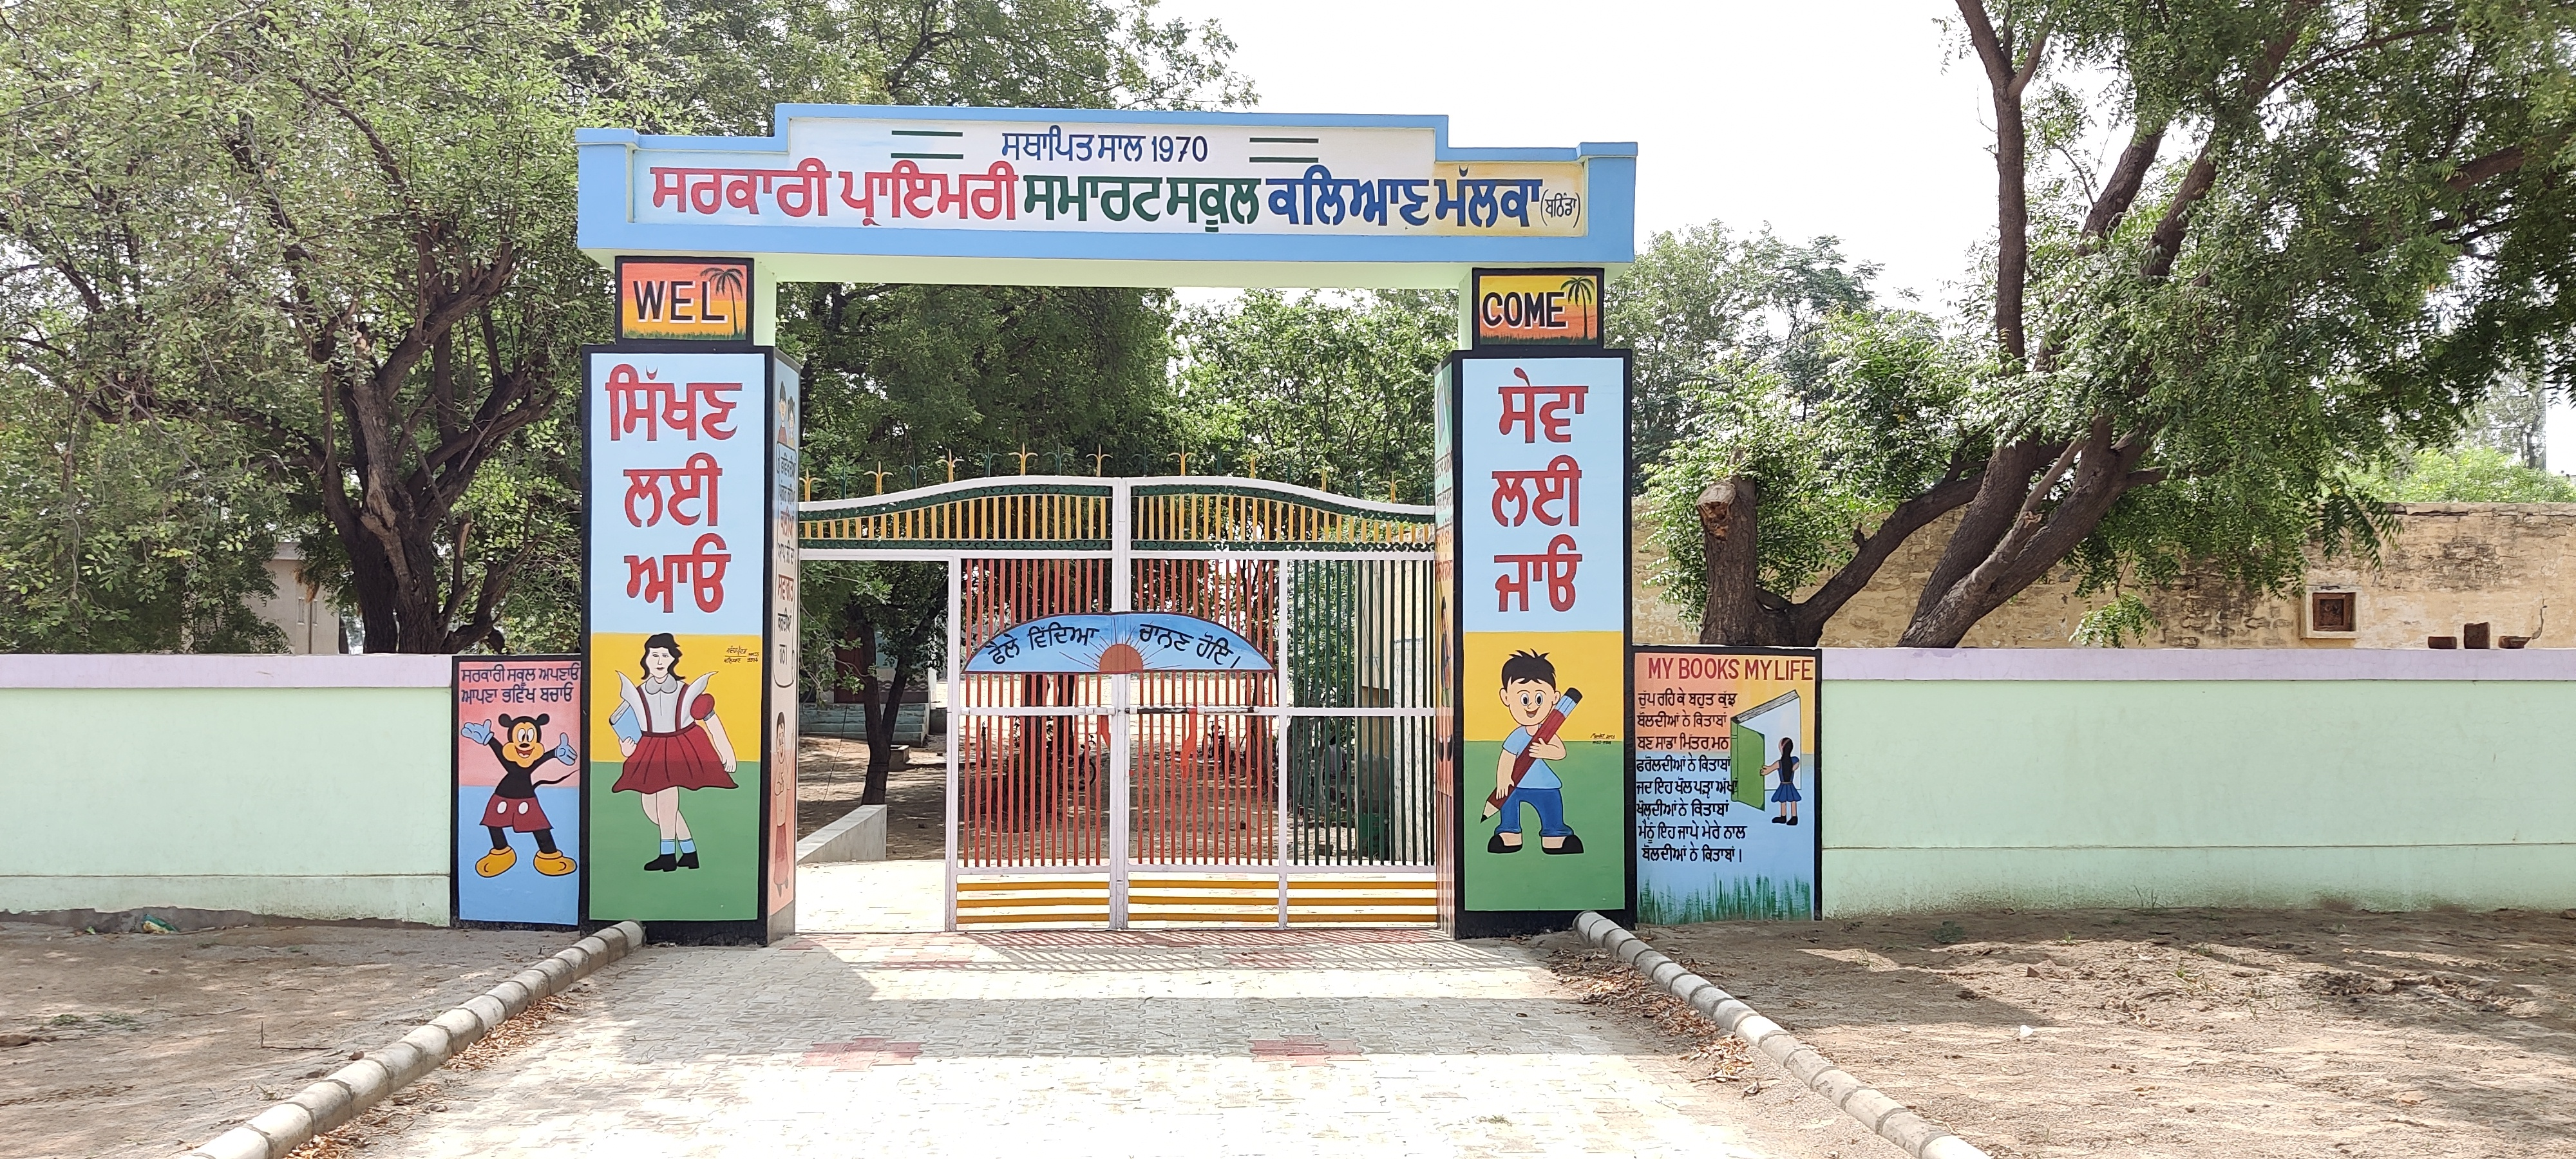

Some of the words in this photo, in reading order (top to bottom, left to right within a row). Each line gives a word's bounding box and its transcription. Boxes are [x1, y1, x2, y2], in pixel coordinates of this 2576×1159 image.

[991, 122, 1097, 168] ਸਥਾਪਿਤ
[1095, 130, 1148, 168] ਸਾਲ
[1149, 129, 1211, 169] 1970
[642, 149, 834, 221] ਸਰਕਾਰੀ
[831, 158, 1021, 232] ਪ੍ਰਾਇਮਰੀ
[1019, 171, 1165, 227] ਸਮਾਰਟ
[1164, 172, 1264, 234] ਸਕੂਲ
[1262, 161, 1437, 236] ਕਲਿਆਣ
[1432, 163, 1548, 231] ਮੱਲਕਾ
[1543, 189, 1580, 222] ਬਠਿੰਡਾ
[627, 274, 730, 329] WEL
[1477, 288, 1571, 333] COME
[598, 359, 753, 453] ਸਿੱਖਣ
[1484, 360, 1607, 448] ਸੇਵਾ
[607, 445, 732, 541] ਲਈ
[1475, 450, 1595, 533] ਲਈ
[617, 529, 741, 628] ਆੳੇ
[1480, 529, 1593, 623] ਜਾੳ
[980, 628, 1025, 668] ਫੈਲੇ
[1023, 616, 1103, 652] ਵਿੱਦਿਆ
[1133, 619, 1198, 659] ਚਾਨਣ
[1190, 627, 1238, 670] ਹੋਇ
[459, 661, 507, 686] ਸਰਕਾਰੀ
[504, 664, 538, 687] ਸਕੂਲ
[536, 659, 580, 685] ਅਪਣਾਓ
[1642, 656, 1676, 682] MY
[1674, 655, 1741, 683] BOOKS
[1740, 656, 1774, 688] MY
[1772, 655, 1815, 687] LIFE
[458, 683, 499, 708] ਆਪਣਾ
[499, 682, 539, 708] ਭਵਿਂਖ
[536, 681, 579, 704] ਬਚਾਓ
[1634, 684, 1676, 710] ਚੁੱਪਰਹਿ
[1676, 684, 1689, 706] ਕੇ
[1687, 689, 1718, 711] ਬਹੁਤ
[1717, 687, 1741, 710] ਕੁੱਝ
[1633, 709, 1680, 731] ਬੁਲਦੀਆं
[1680, 706, 1692, 730] ਠੇ
[1690, 708, 1730, 731] विउग्घां
[1634, 734, 1679, 753] ਬਣਸਾਡਾ
[1678, 730, 1732, 753] ਮਿੱਤਰਮਨ
[1633, 751, 1689, 776] ਫਰੋਲਦੀਆਂ
[1686, 751, 1698, 775] ਨੇ
[1697, 753, 1732, 777] ਕਿਤਾਬਾਂ
[1635, 778, 1654, 796] ਜਦ
[1635, 797, 1680, 820] ਖੋਲਦੀਆं
[1677, 796, 1690, 818] ਨੇ
[1689, 796, 1733, 820] ਕਿਤਾਬਾਂ
[1636, 817, 1656, 845] ਮਠੂੰ
[1656, 820, 1676, 842] ਇਹ
[1673, 818, 1701, 842] ਜਾਪੇ
[1700, 817, 1723, 842] ਮੇਰੇ
[1723, 822, 1750, 843] ਨਾਲ
[1638, 840, 1689, 866] ਬੋਲਦੀਆਂ
[1688, 840, 1701, 866] ਠੇ
[1700, 842, 1739, 865] ਕਿਤਾਬਾਂ